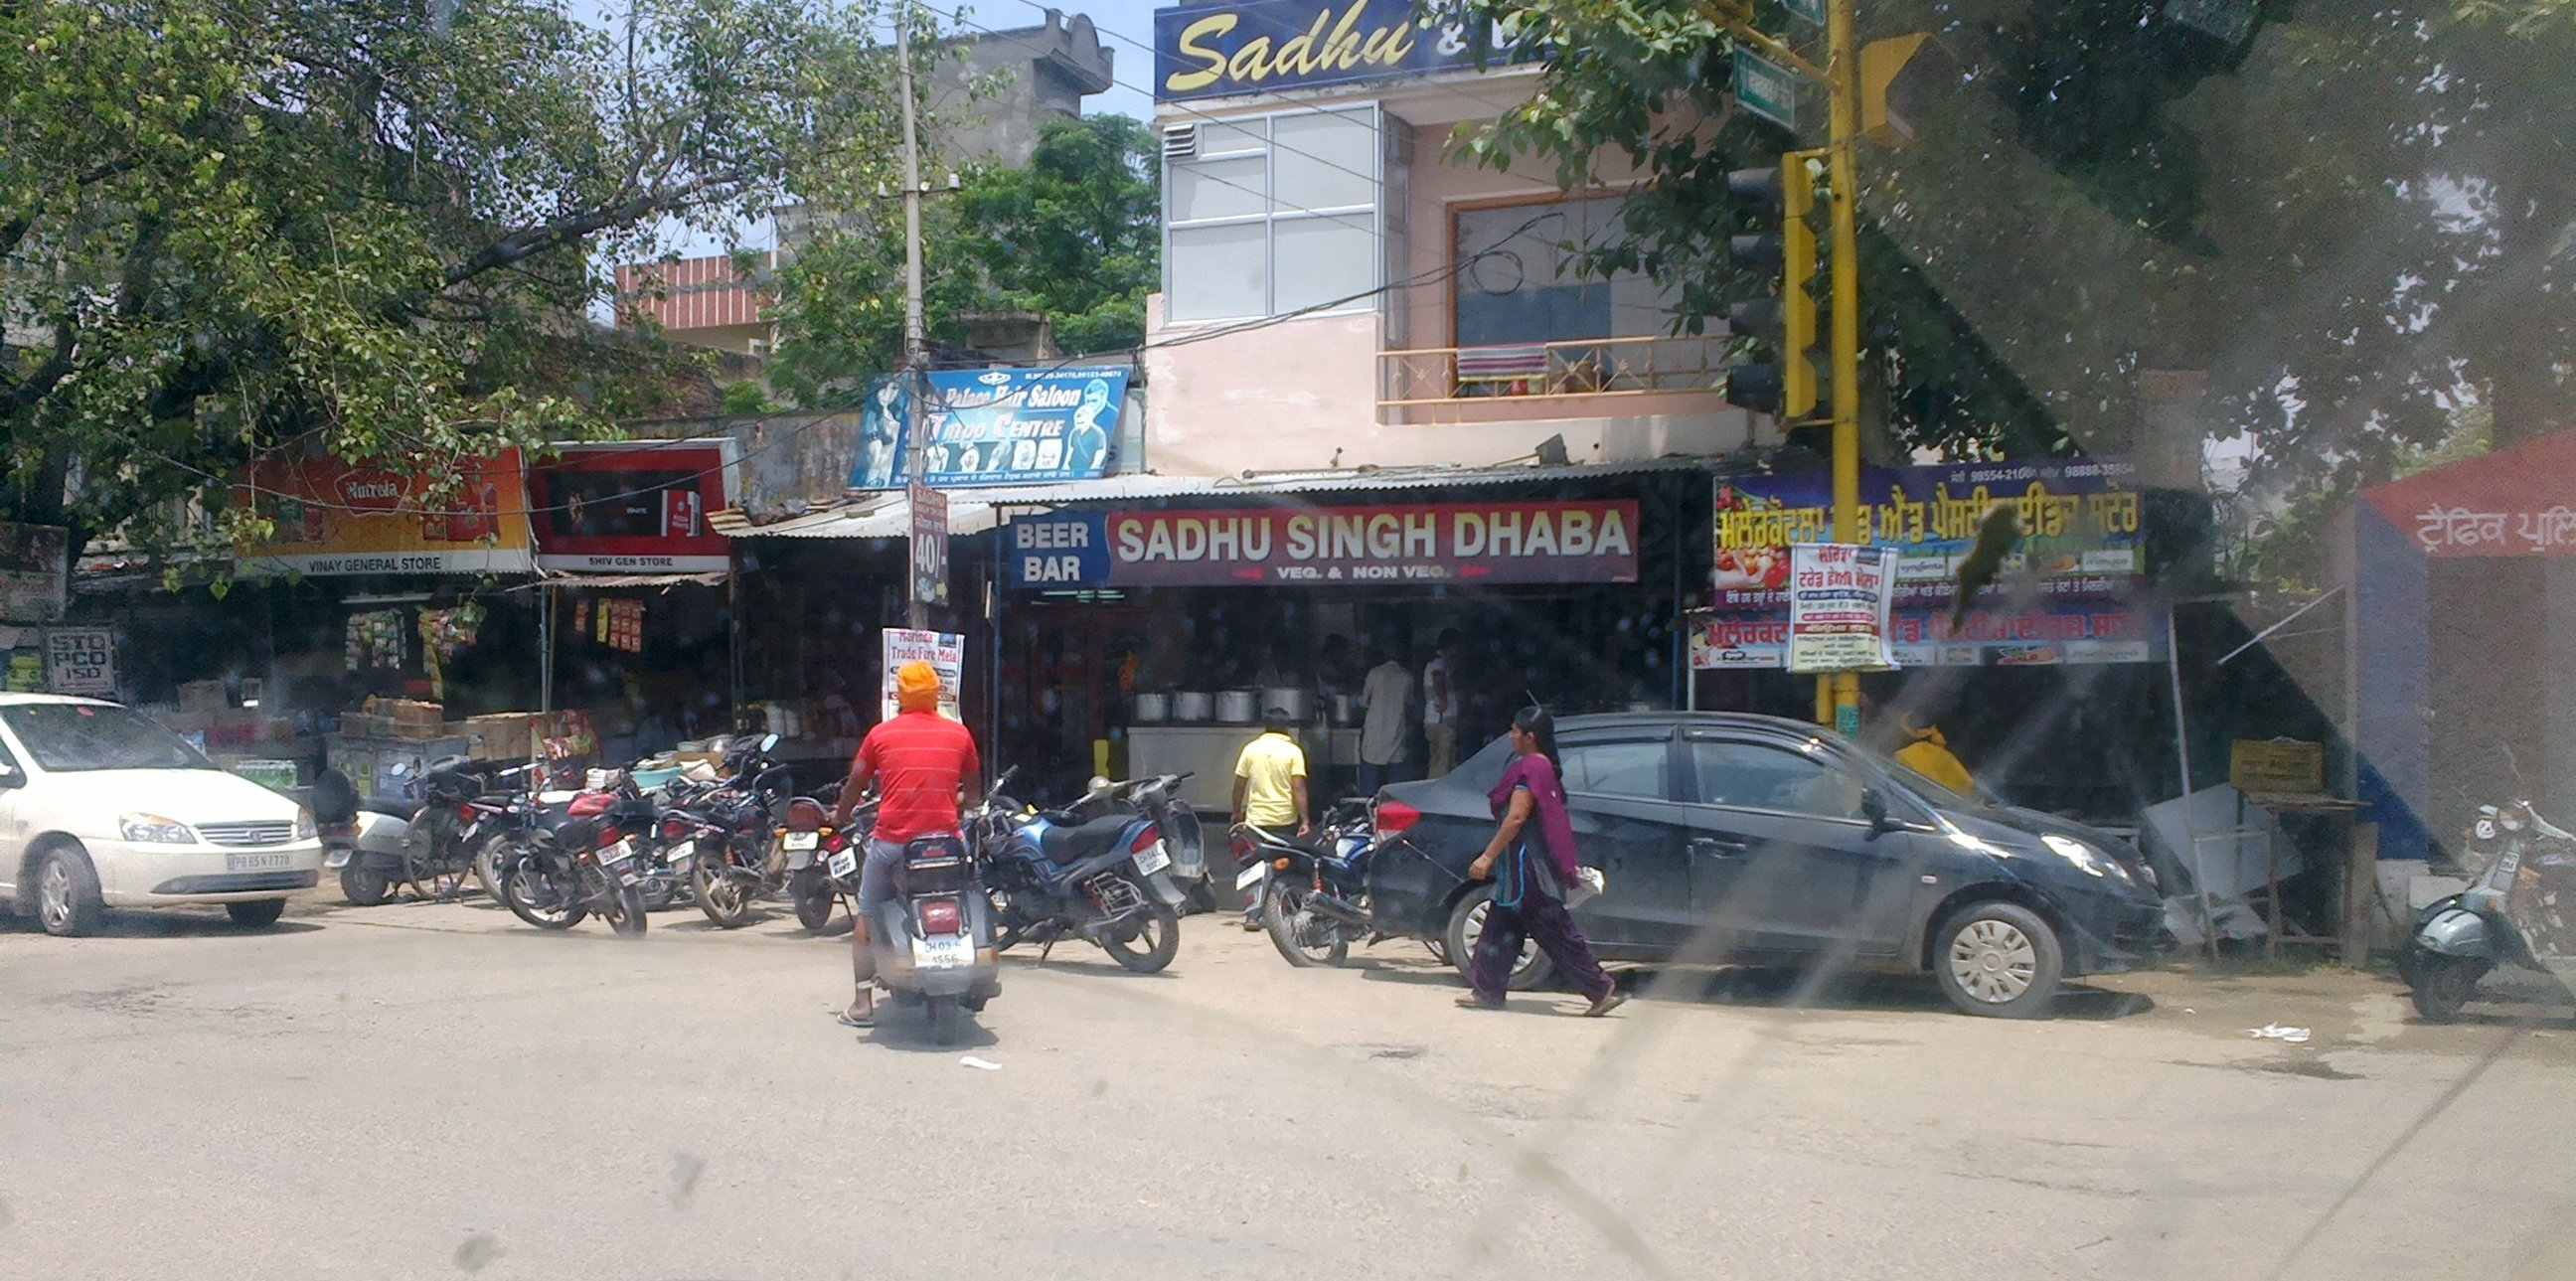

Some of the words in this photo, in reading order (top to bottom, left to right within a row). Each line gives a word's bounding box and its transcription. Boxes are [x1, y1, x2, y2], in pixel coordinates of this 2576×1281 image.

[1157, 0, 1421, 93] Sadhu
[1025, 380, 1085, 414] Saloon
[991, 409, 1069, 442] CENTRE
[1011, 516, 1091, 553] BEER
[1111, 512, 1277, 563] SADHU
[1278, 507, 1440, 562] SINGH
[1446, 504, 1636, 560] DHABA
[1716, 490, 1832, 549] ਮਲੇਰਕੋਟਲਾ
[1875, 478, 1931, 550] ਐਂਡ
[2408, 494, 2515, 562] ट्रैढिव
[303, 556, 344, 574] VINAY
[342, 554, 401, 572] GENERAL
[399, 553, 444, 573] STORE
[585, 554, 614, 569] SHIV
[614, 554, 638, 571] GEN
[637, 556, 677, 572] STORE
[911, 531, 938, 576] 40
[1019, 552, 1085, 583] BAR
[1271, 561, 1325, 581] VEG.
[1326, 562, 1348, 582] &
[1349, 560, 1399, 580] NON
[1398, 560, 1454, 580] VEG.
[1794, 563, 1826, 591] ਟਰੇਡ
[1853, 562, 1882, 593] ਮੇਲਾ
[50, 629, 109, 650] STD
[50, 648, 107, 668] PCO
[62, 666, 101, 682] 150